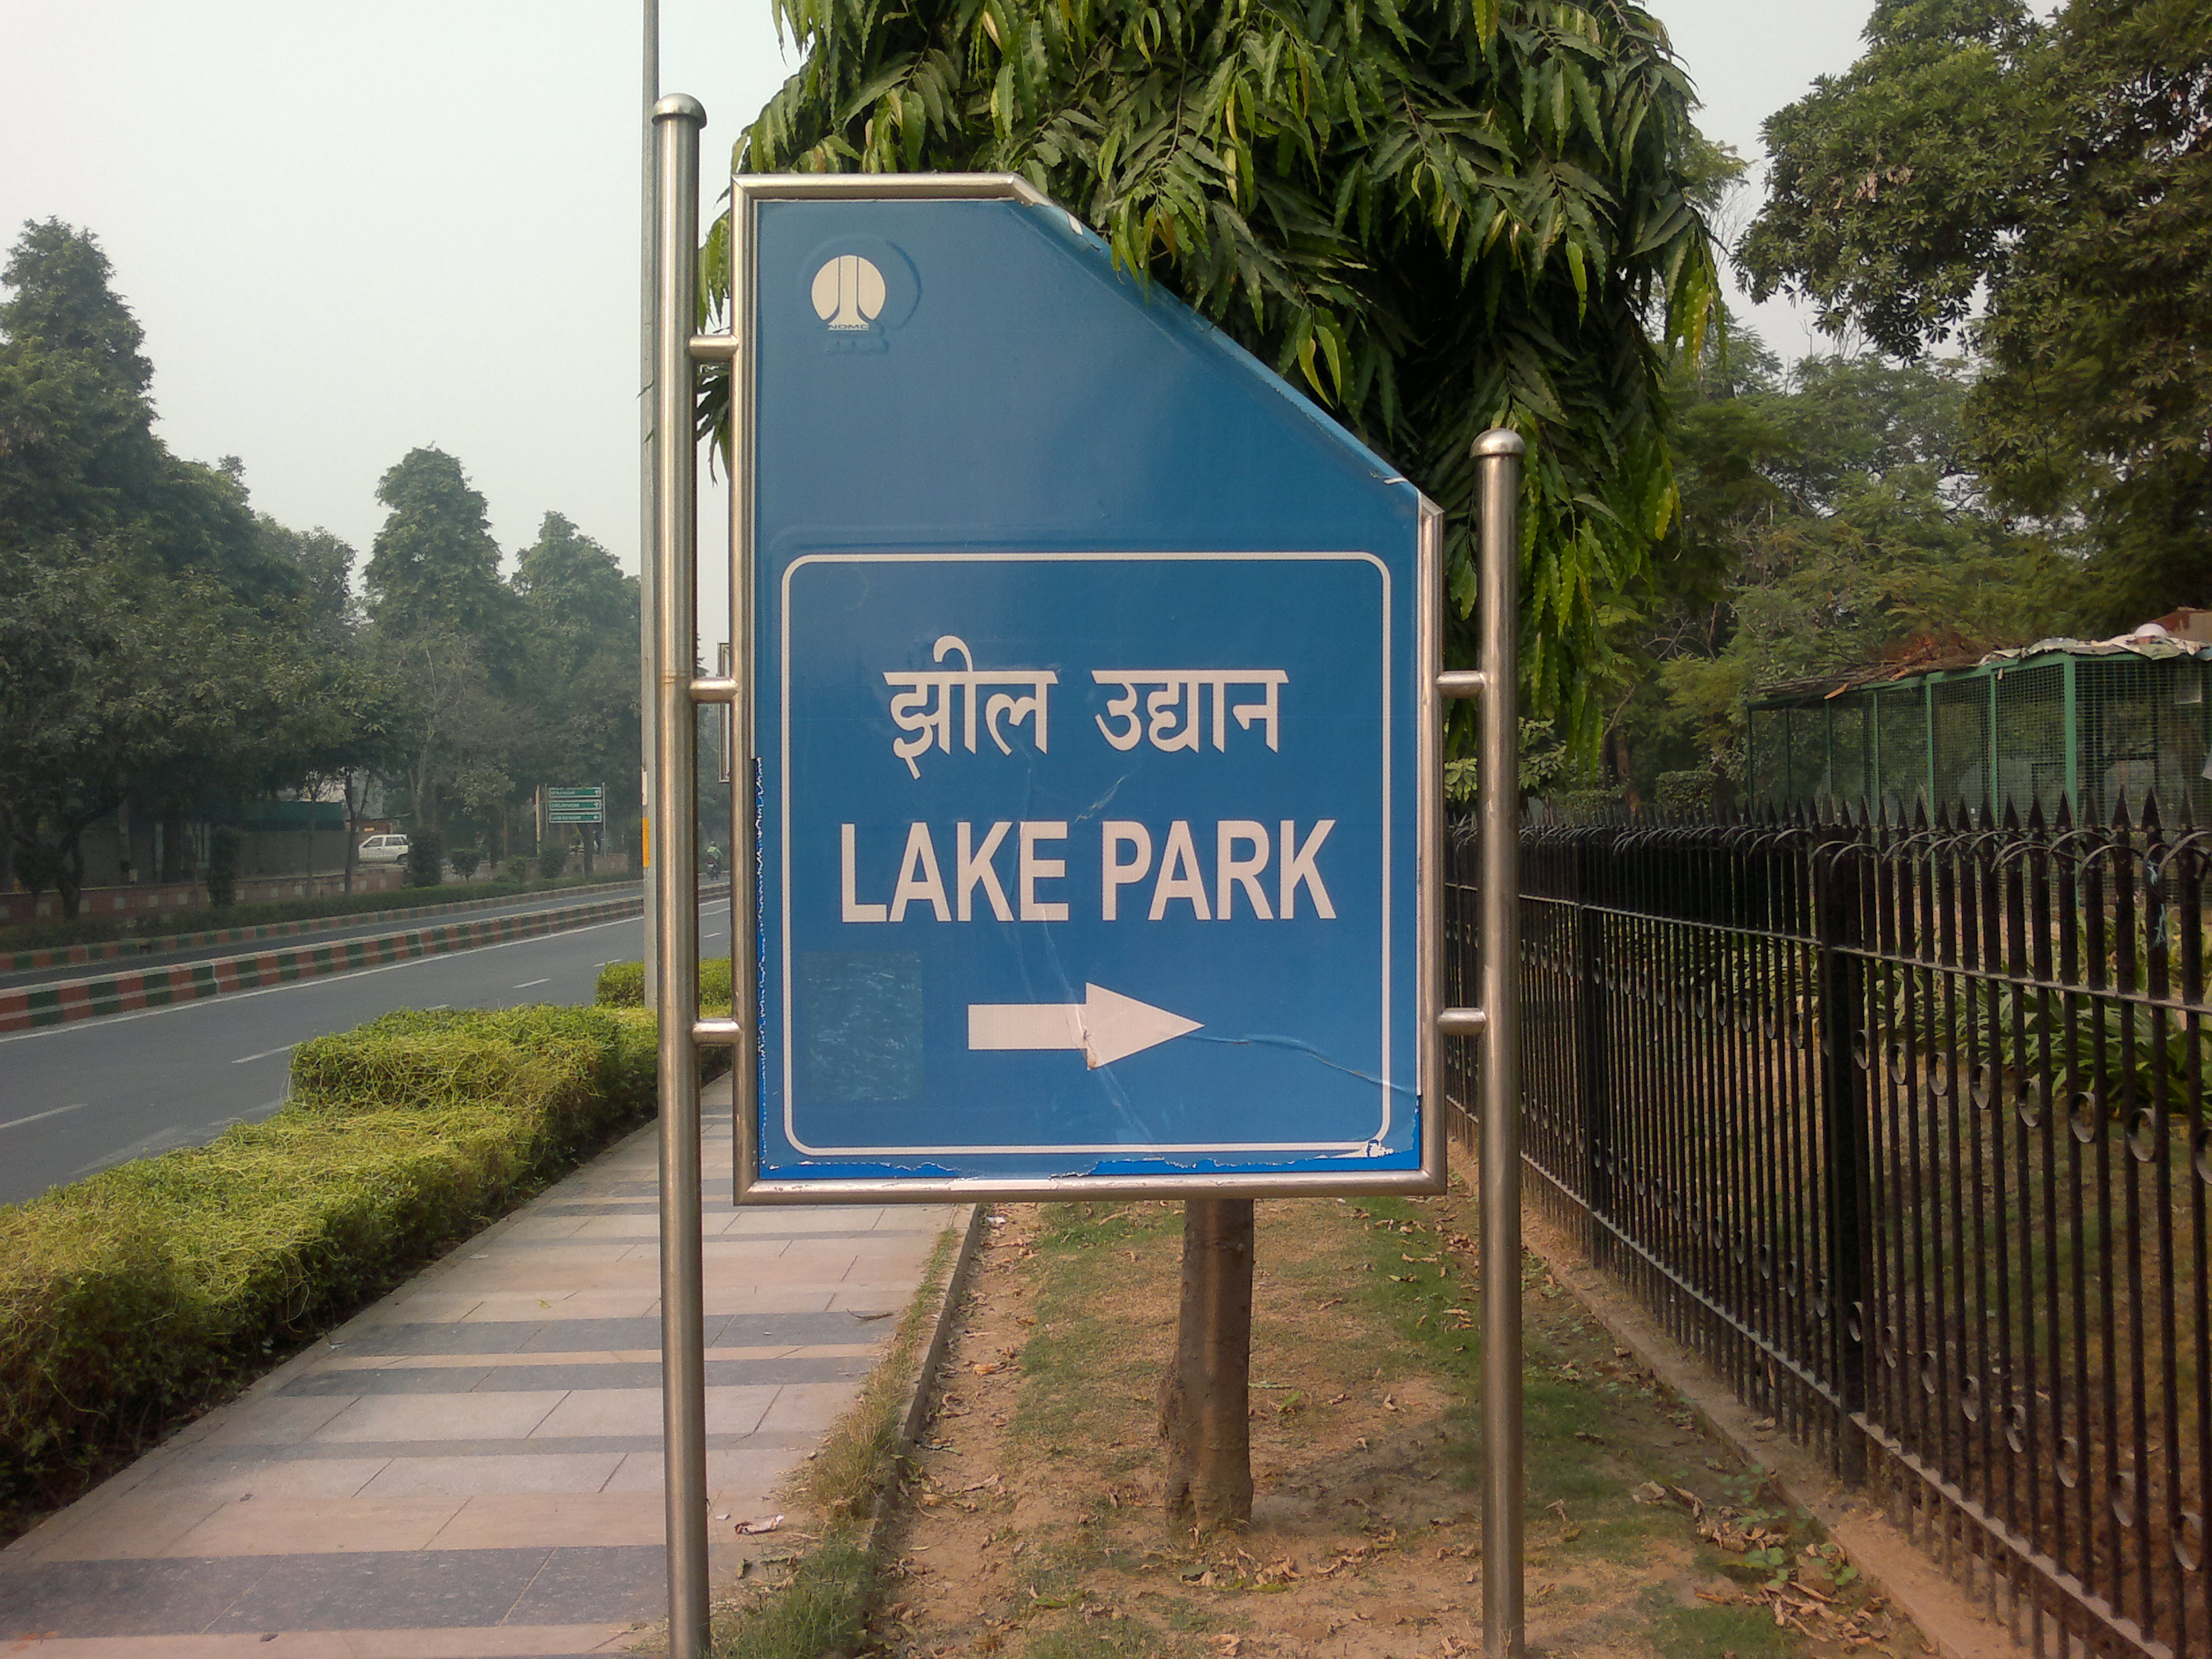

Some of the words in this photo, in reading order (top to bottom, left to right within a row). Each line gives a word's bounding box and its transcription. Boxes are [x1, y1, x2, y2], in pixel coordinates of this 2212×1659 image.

[881, 628, 1060, 785] झील
[1091, 664, 1293, 759] उद्यान
[836, 820, 1072, 926] LAKE
[1097, 816, 1342, 927] PARK